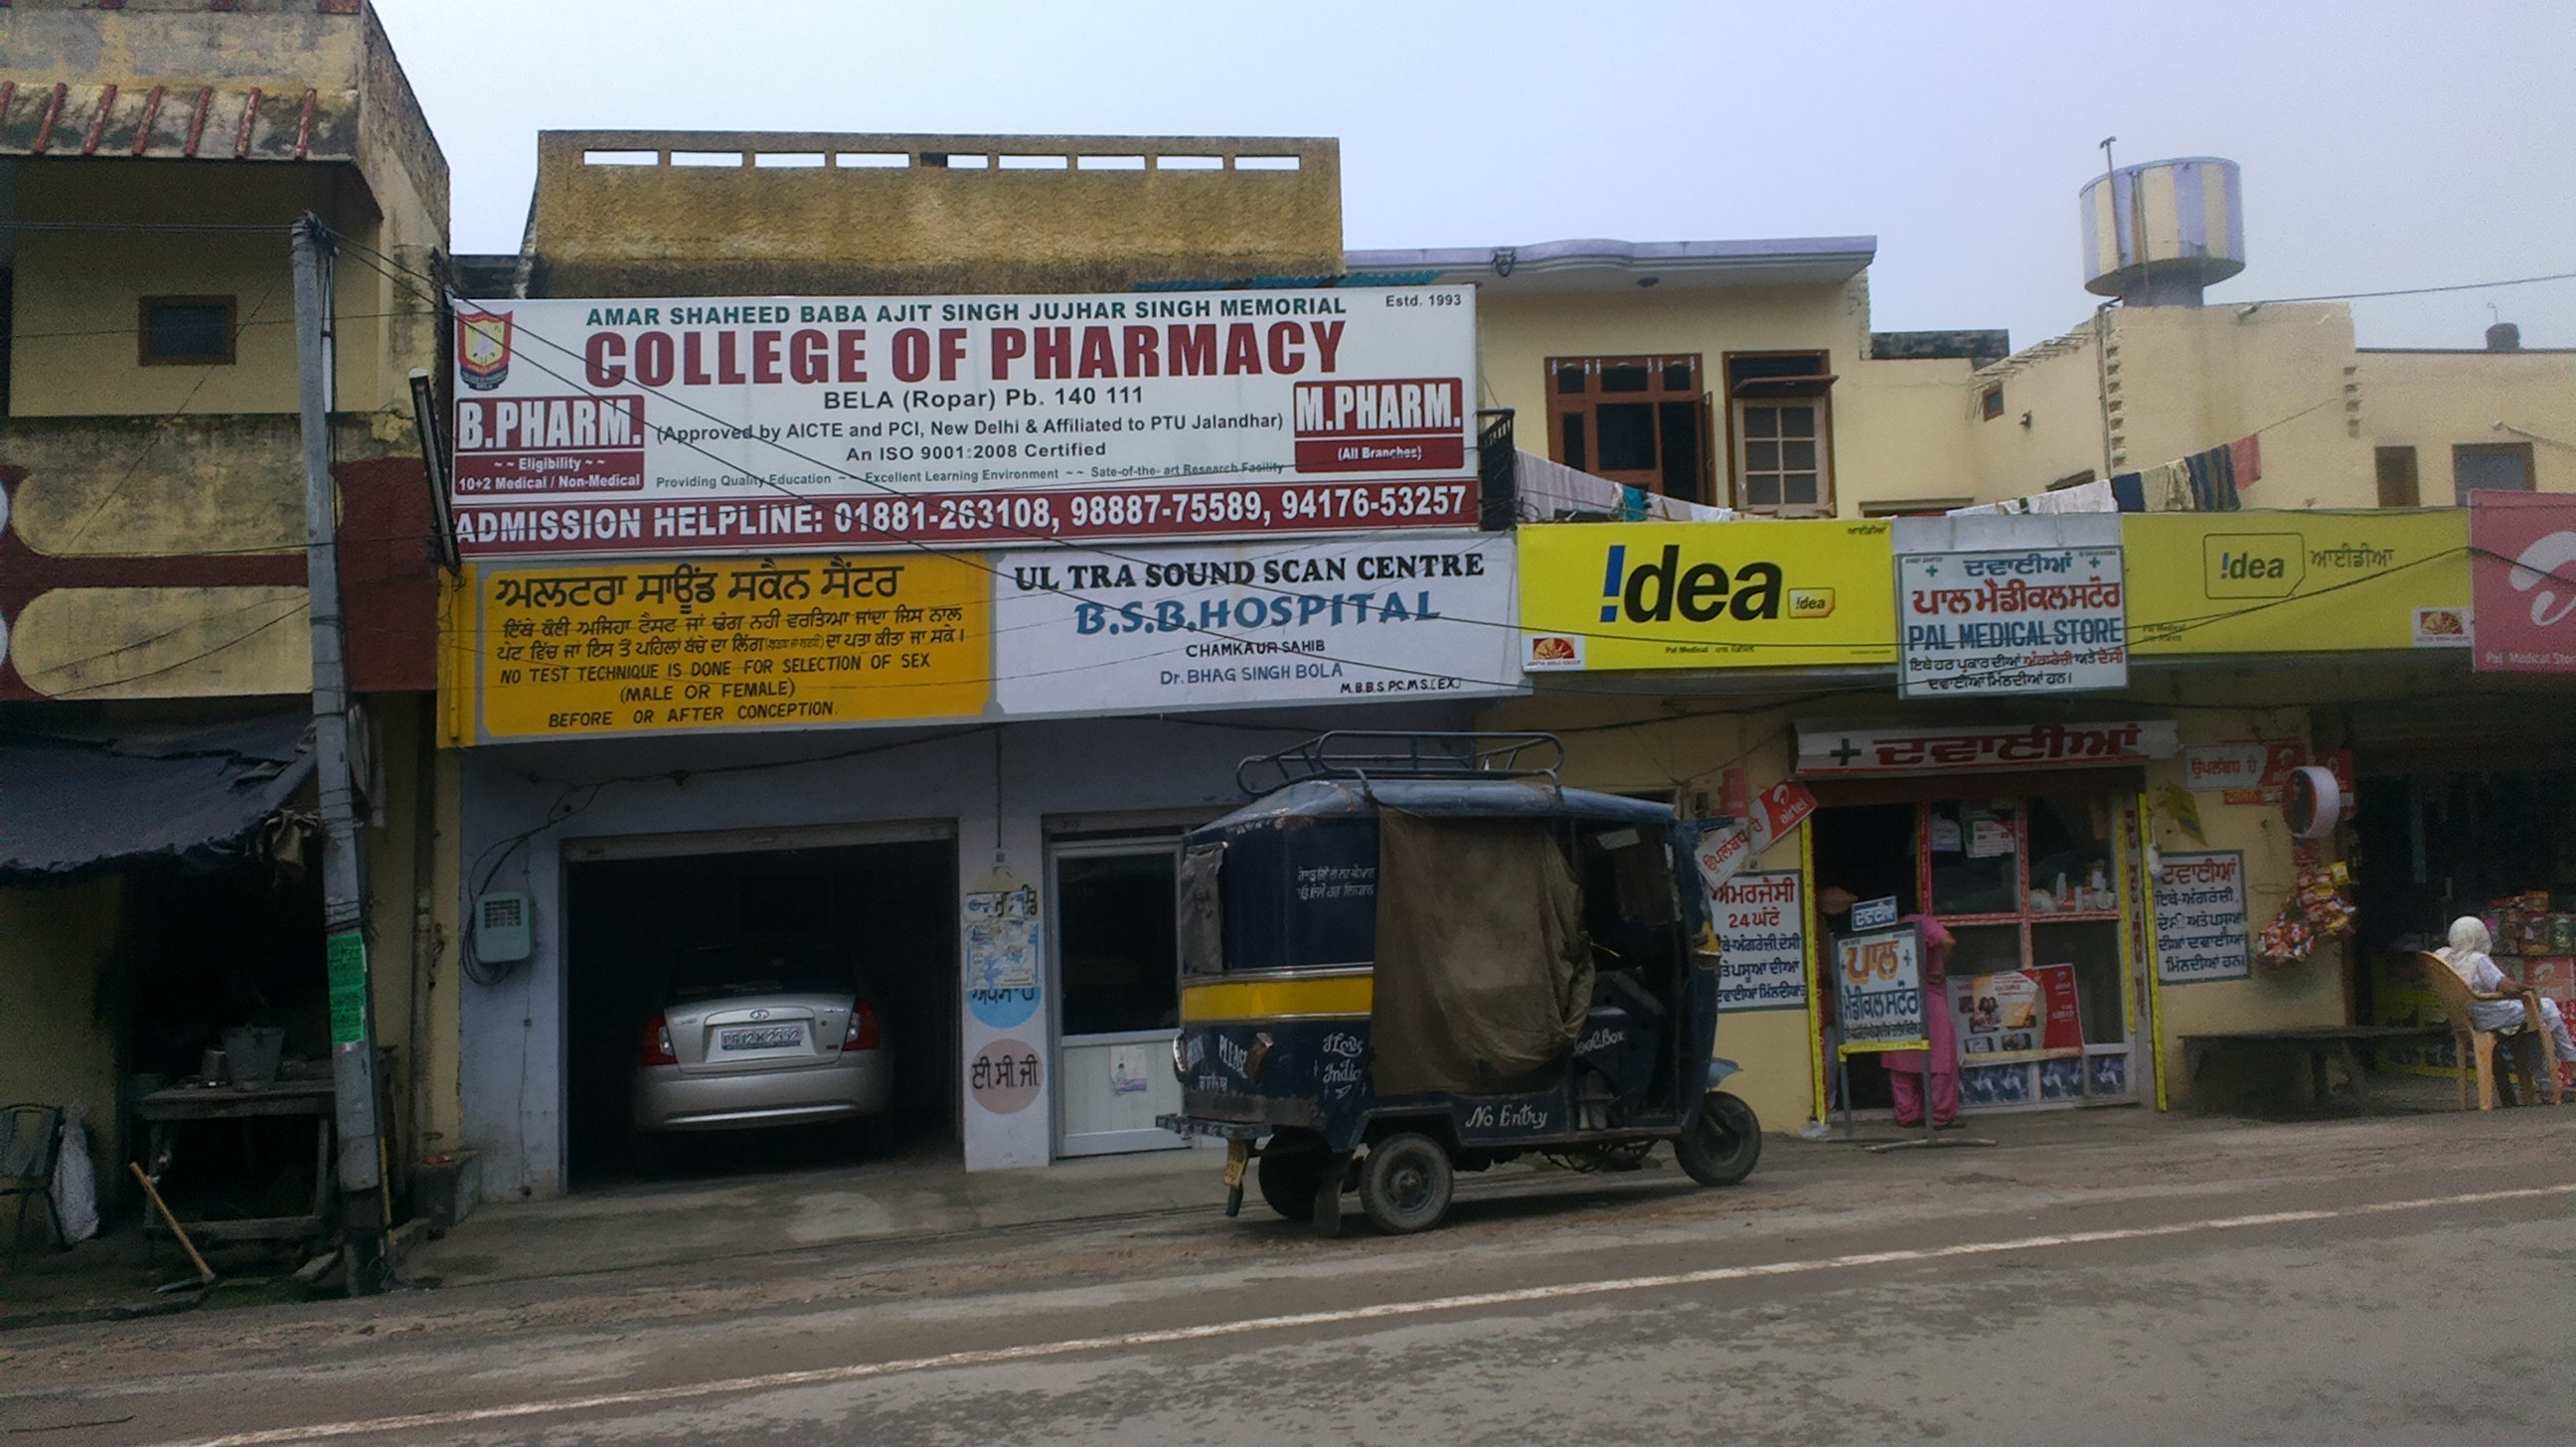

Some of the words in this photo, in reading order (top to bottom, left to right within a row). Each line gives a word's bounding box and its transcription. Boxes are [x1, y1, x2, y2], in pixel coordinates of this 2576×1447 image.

[581, 305, 665, 330] AMAR
[666, 303, 792, 328] SHAHEED
[797, 301, 870, 326] BABA
[873, 302, 936, 327] AJIT
[939, 301, 1022, 325] SINGH
[1027, 300, 1129, 322] JUJHAR
[1132, 297, 1213, 320] SINGH
[1217, 293, 1350, 320] MEMORIAL
[1382, 290, 1428, 310] Estd.
[1426, 290, 1466, 311] 1993
[580, 325, 877, 391] COLLEGE
[887, 324, 975, 387] OF
[986, 318, 1356, 383] PHARMACY
[456, 396, 643, 452] B.PHARM.
[659, 416, 756, 448] Approved
[757, 416, 784, 443] by
[782, 417, 849, 441] AICTE
[821, 388, 900, 411] BELA
[847, 417, 885, 440] and
[885, 418, 921, 439] PCI
[927, 418, 973, 438] New
[910, 386, 992, 413] Ropar)
[971, 414, 1023, 438] Delhi
[1001, 385, 1046, 412] Pb.
[1023, 414, 1043, 437] &
[1052, 385, 1100, 408] 140
[1039, 414, 1124, 437] Affiliated
[1103, 383, 1146, 406] 111
[1126, 412, 1149, 434] to
[1149, 412, 1189, 432] PTU
[1190, 410, 1278, 431] Jalandhar
[1293, 379, 1463, 437] M.PHARM.
[454, 473, 493, 496] 10+2
[492, 471, 551, 492] Medical
[515, 454, 585, 474] Eligibility
[556, 470, 643, 491] Non-Medical
[654, 471, 720, 492] Providing
[717, 470, 767, 493] Quality
[766, 469, 838, 494] Education
[840, 444, 876, 466] An
[862, 468, 924, 487] Excellent
[876, 443, 919, 464] ISO
[917, 442, 967, 462] 9001
[922, 465, 980, 487] Learning
[972, 440, 1022, 462] 2008
[977, 462, 1062, 487] Environment
[1021, 439, 1110, 461] Certified
[1088, 461, 1182, 481] Sate-of-the-art
[1181, 459, 1239, 478] Research
[1239, 457, 1290, 479] Facility
[1339, 442, 1363, 466] All
[1361, 441, 1422, 465] Branches)
[453, 506, 645, 550] ADMISSION
[649, 501, 815, 543] HELPLINE
[830, 494, 1052, 540] 01881-263108
[1065, 486, 1265, 538] 98887-75589
[1274, 481, 1474, 527] 94176-53257
[496, 667, 526, 689] NO
[494, 637, 529, 665] ਪੇਟ
[493, 613, 540, 639] ਇंਥੇ
[526, 638, 562, 666] ਵਿਂਚ
[526, 663, 575, 686] TEST
[538, 612, 573, 639] ਕੋਈ
[487, 570, 632, 614] ਅਲਟਰਾ
[558, 641, 583, 663] ਜਾ
[581, 636, 615, 662] ਇਸ
[573, 610, 636, 637] ਅਜਿਹਾ
[574, 661, 663, 685] TECHNIQUE
[615, 634, 634, 660] ਤੋਂ
[622, 683, 678, 705] MALE
[635, 609, 681, 635] ਟੈਸਟ
[631, 634, 685, 659] ਪਹਿਲਾ
[665, 661, 686, 683] IS
[631, 562, 723, 617] ਸਾਊਂਡ
[681, 609, 710, 635] ਜਾਂ
[681, 631, 711, 659] ਬਂਚੇ
[681, 681, 715, 702] OR
[687, 657, 734, 679] DONE
[709, 633, 729, 657] ਦਾ
[710, 607, 747, 634] ਢੰਗ
[728, 630, 767, 655] ਲਿਂਗ
[719, 677, 792, 701] FEMALE
[740, 656, 779, 677] FOR
[747, 605, 782, 631] ਨਹੀ
[724, 556, 814, 603] ਸਕੈਨ
[782, 603, 852, 631] ਵਰਤਿਆ
[780, 653, 866, 676] SELECTION
[824, 629, 844, 655] ਦਾ
[843, 628, 875, 652] ਪਤਾ
[816, 554, 910, 602] ਸੈਟਰ
[852, 605, 892, 629] ਜਾਂਦਾ
[866, 650, 895, 672] OF
[873, 625, 907, 651] ਕੀਤਾ
[891, 600, 927, 625] ਜਿਸ
[899, 650, 933, 669] SEX
[907, 627, 929, 649] ਜਾ
[926, 623, 959, 647] ਸਕੇ
[926, 603, 965, 623] ਨਾਲ
[1009, 560, 1142, 599] ULTRA
[1070, 599, 1200, 639] B.S.B.
[1155, 667, 1186, 692] Dr.
[1140, 557, 1261, 593] SOUND
[1184, 663, 1238, 689] BHAG
[1182, 635, 1281, 661] CHAMKAUR
[1239, 659, 1294, 686] SINGH
[1279, 635, 1329, 657] SAHIB
[1260, 554, 1355, 590] SCAN
[1194, 587, 1446, 633] HOSPITAL
[1293, 659, 1347, 684] BOLA
[1333, 673, 1467, 699] M.B.B.S.P.C.M.S.L.EXJ
[1353, 548, 1492, 583] CENTRE
[1594, 536, 1787, 632] !dea
[1790, 593, 1831, 612] idea
[1903, 619, 1958, 655] PAL
[1908, 583, 1974, 617] ਪਾਲ
[1955, 617, 2051, 654] MEDICAL
[1958, 548, 2078, 579] ਦਵਾਈਆਂ
[1973, 575, 2070, 615] ਮੈਡੀਕਲ
[2050, 615, 2125, 648] STORE
[2066, 573, 2125, 609] ਸਟੋਰ
[2214, 548, 2289, 585] !dea
[2305, 536, 2401, 575] ਆਈਡੀਆ
[544, 706, 618, 732] BEFORE
[629, 706, 661, 726] OR
[662, 703, 729, 724] AFTER
[732, 697, 838, 723] CONCEPTION
[1867, 723, 2151, 769] ਦਵਾਈਆਂ
[2156, 855, 2241, 887] ਟਵਾਈਆਂ
[1707, 875, 1800, 908] ਅਮਰਜੇਸੀ
[1725, 909, 1752, 931] 24
[1749, 904, 1784, 931] ਘੰਟੇ
[1843, 938, 1902, 985] ਪਾਲ
[1841, 980, 1884, 1023] ਮੇਡੀਕਲ
[1883, 975, 1919, 1019] ਸਟੋਠ
[1568, 1023, 1632, 1058] tool box
[967, 1045, 1046, 1099] ਈ.ਸੀ.ਈ.
[1458, 1099, 1498, 1136] No
[1497, 1098, 1554, 1135] Entry